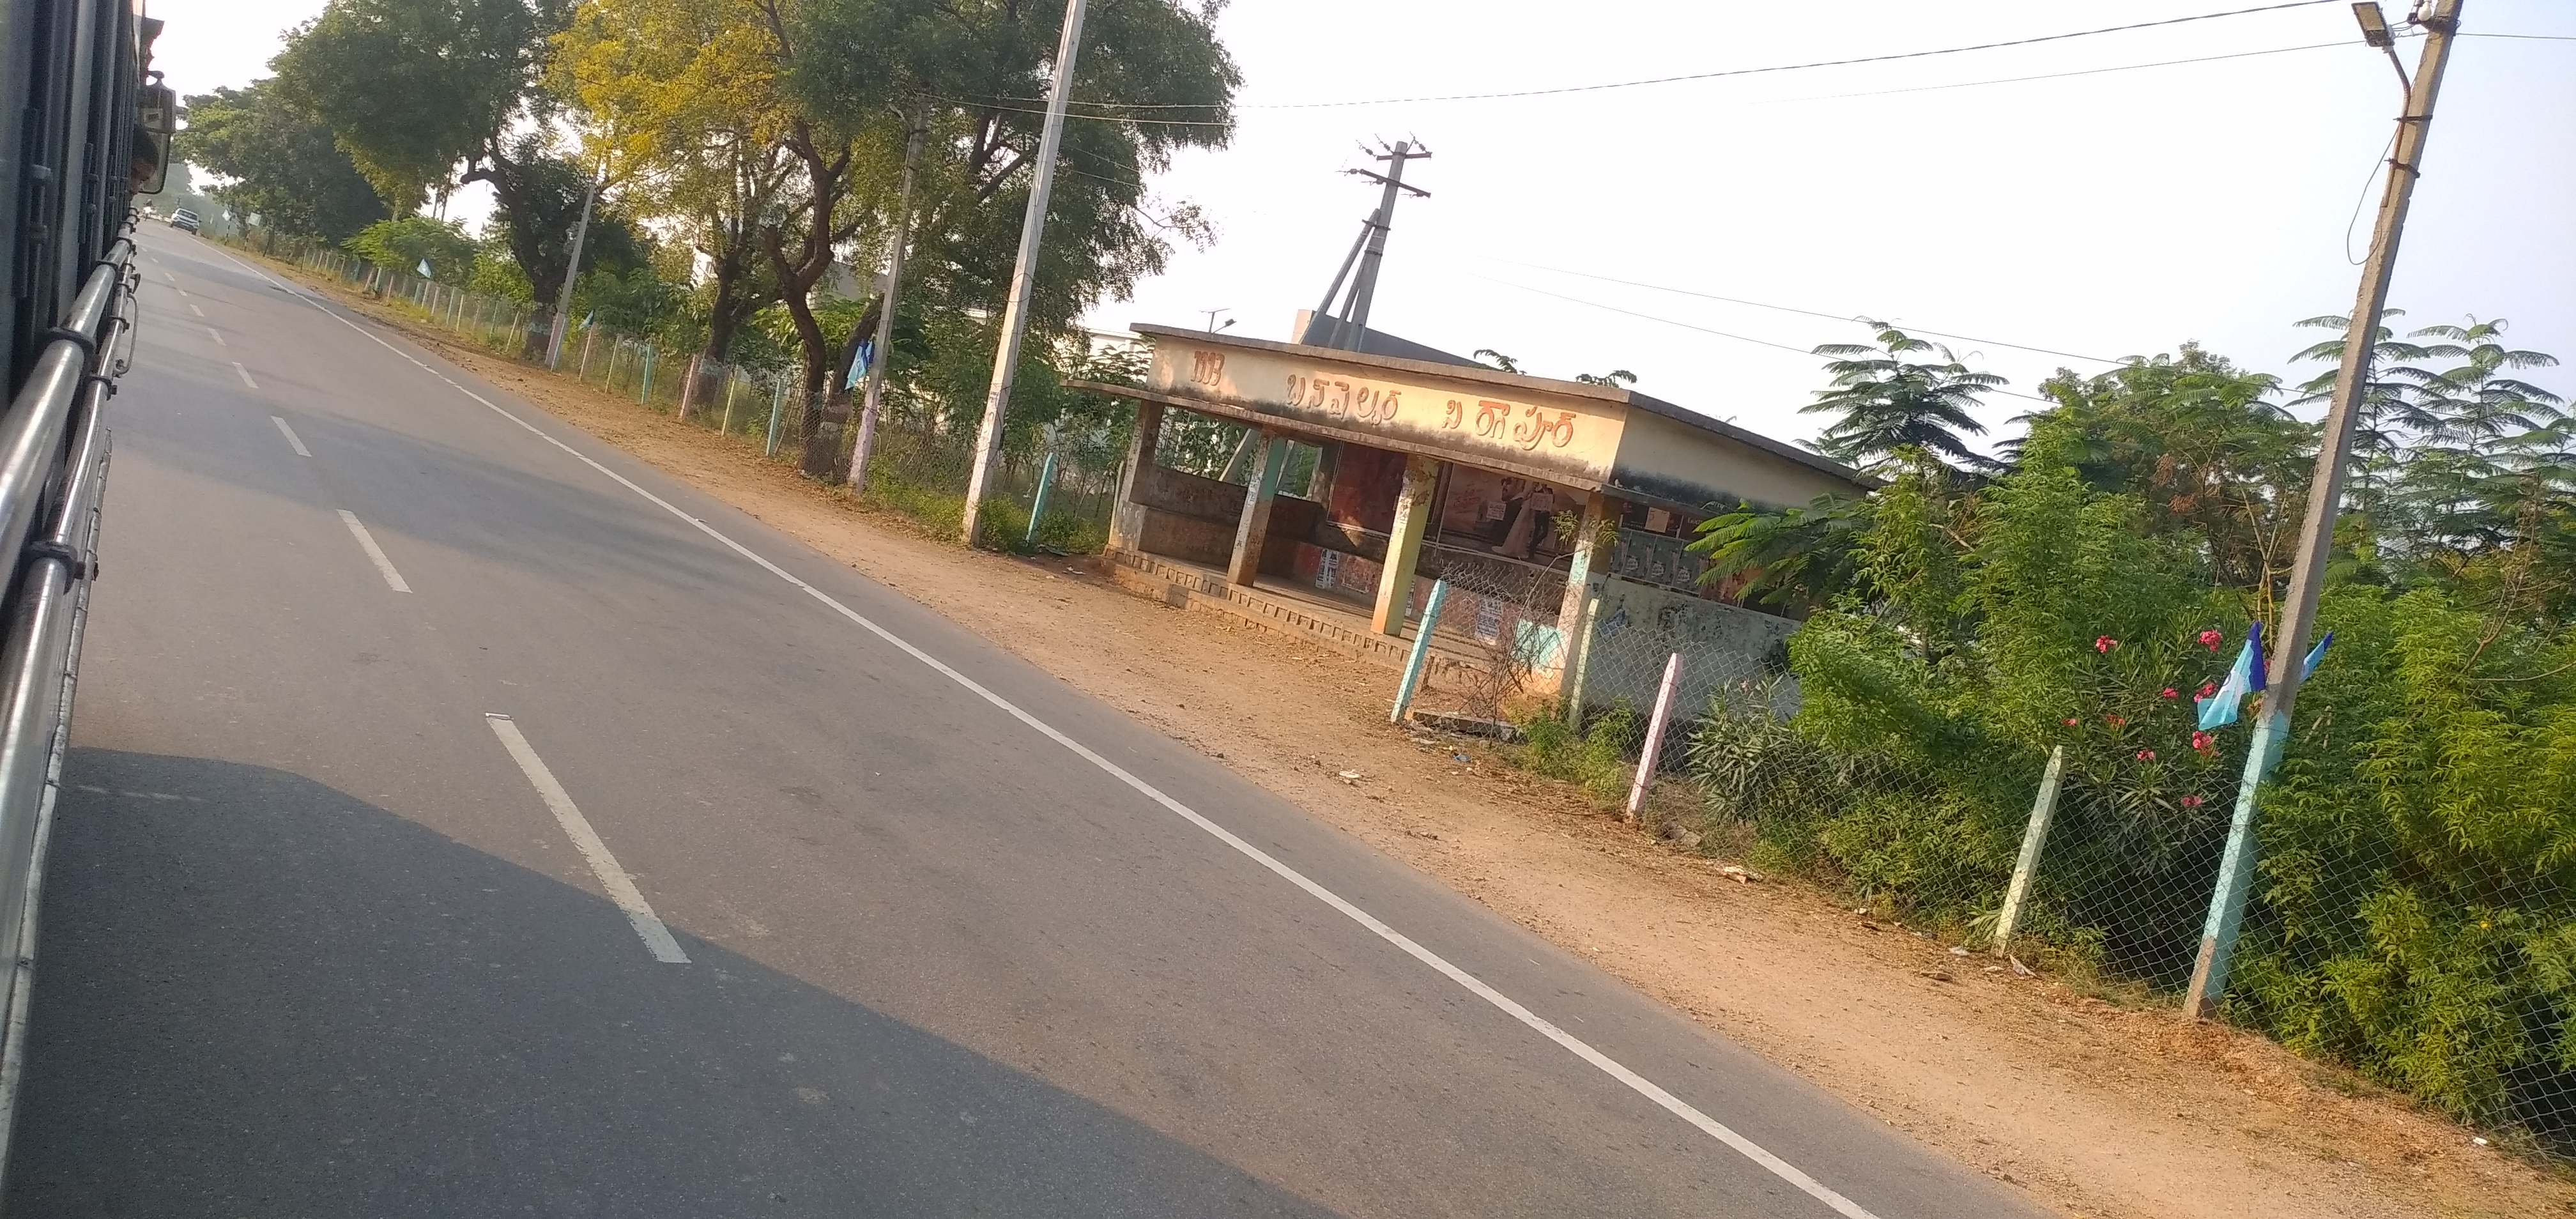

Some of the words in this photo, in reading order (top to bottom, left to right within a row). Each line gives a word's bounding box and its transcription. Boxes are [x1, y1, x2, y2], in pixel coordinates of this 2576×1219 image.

[1188, 347, 1227, 390] 1993
[1438, 397, 1580, 453] సిగ్గావుర్